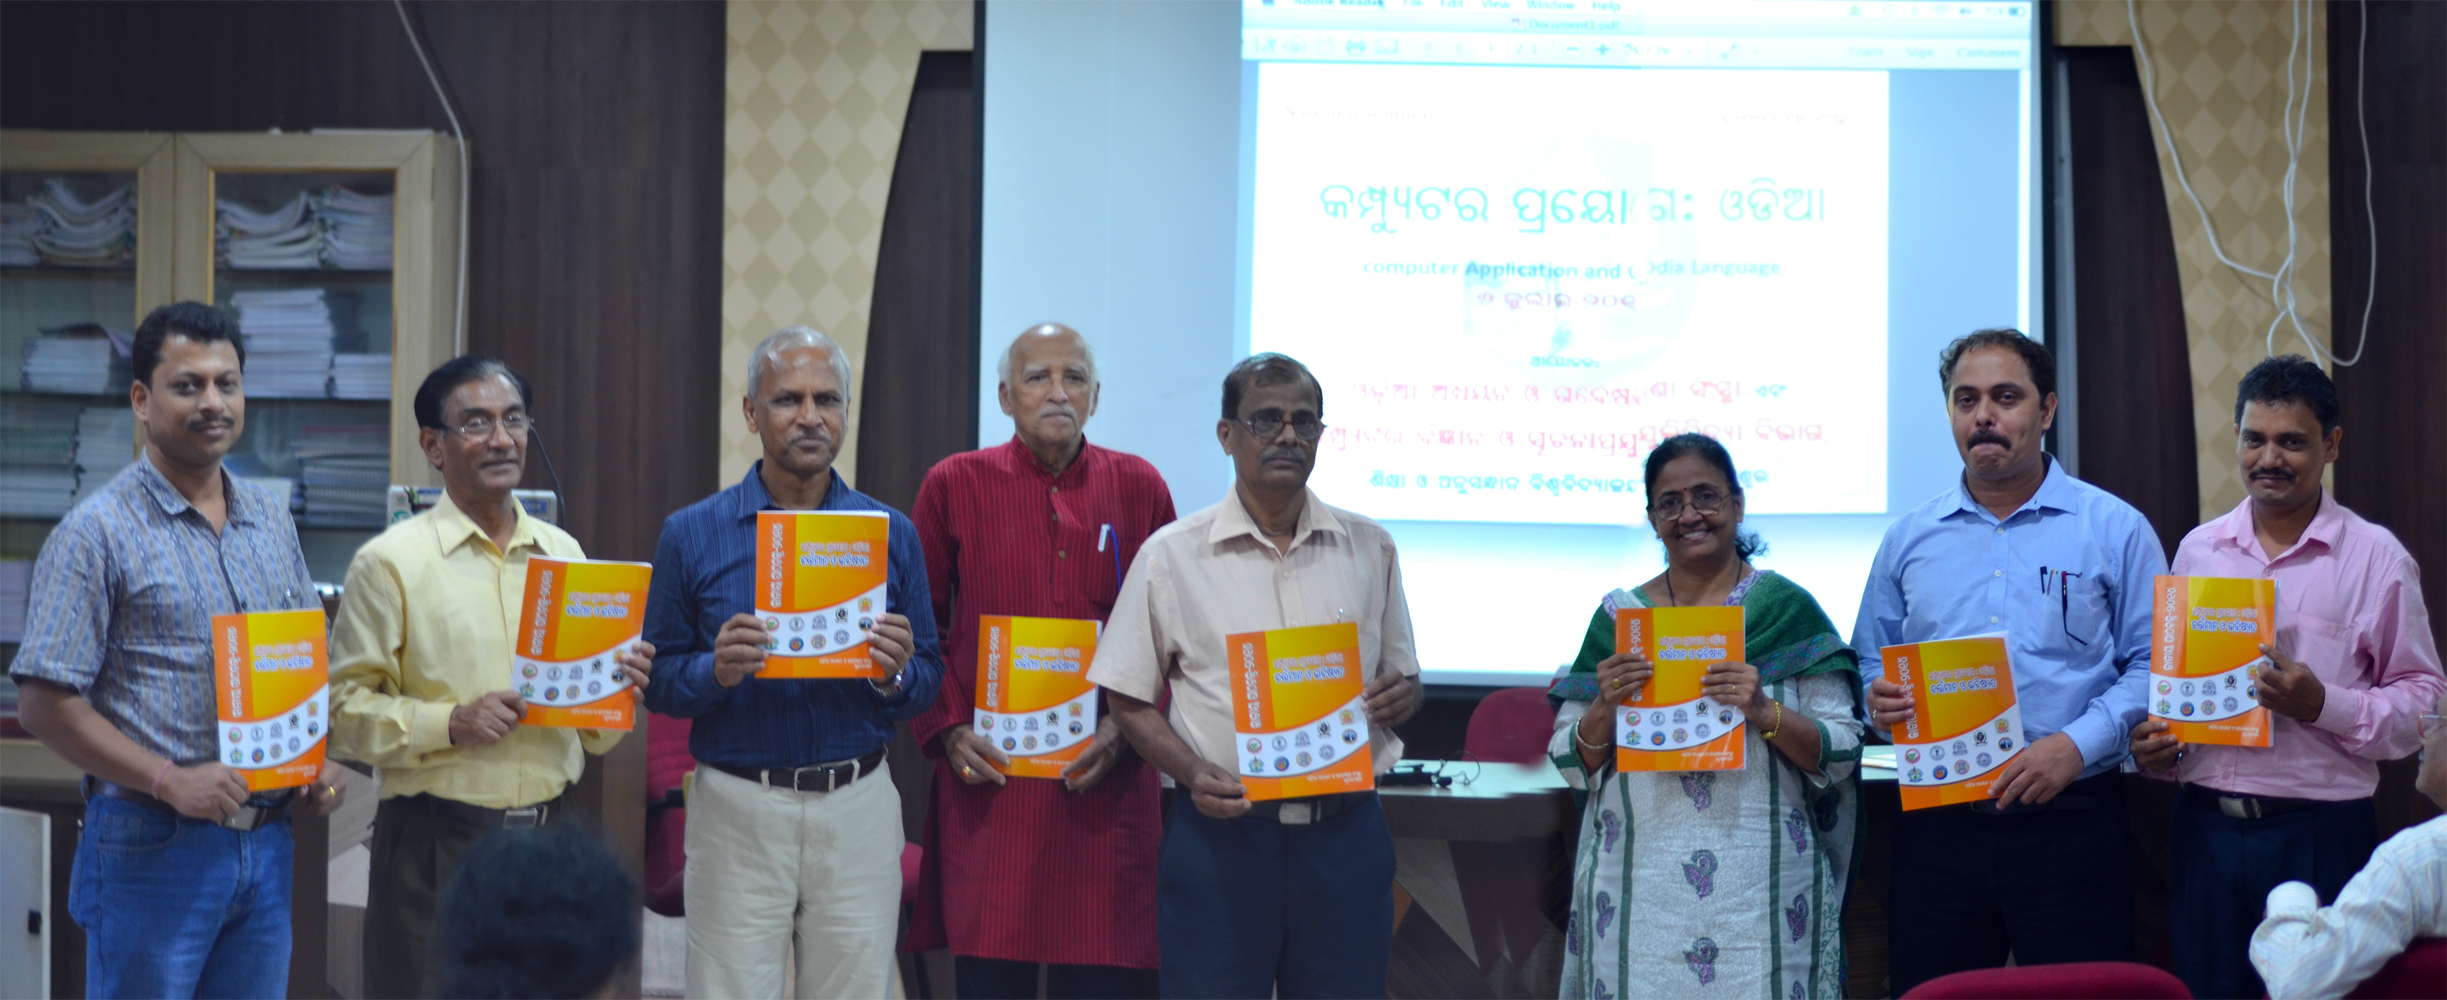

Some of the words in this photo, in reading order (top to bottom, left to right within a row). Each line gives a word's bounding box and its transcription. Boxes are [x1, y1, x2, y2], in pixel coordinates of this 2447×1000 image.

[1309, 176, 1494, 242] କମ୍ପ୍ୟୁଟର
[1508, 178, 1694, 245] ପ୍ରୟୋ ଗ:
[1715, 170, 1830, 230] ଓଡ଼ିଆ
[1357, 255, 1466, 283] computer
[1459, 253, 1583, 282] Application
[1577, 258, 1624, 286] and
[1617, 253, 1688, 285] Odia
[1686, 246, 1784, 280] Language
[1579, 284, 1644, 313] ୨୦୧
[1425, 382, 1516, 408] ଅଥୟନ
[1540, 376, 1640, 409] ଗଦେଷ